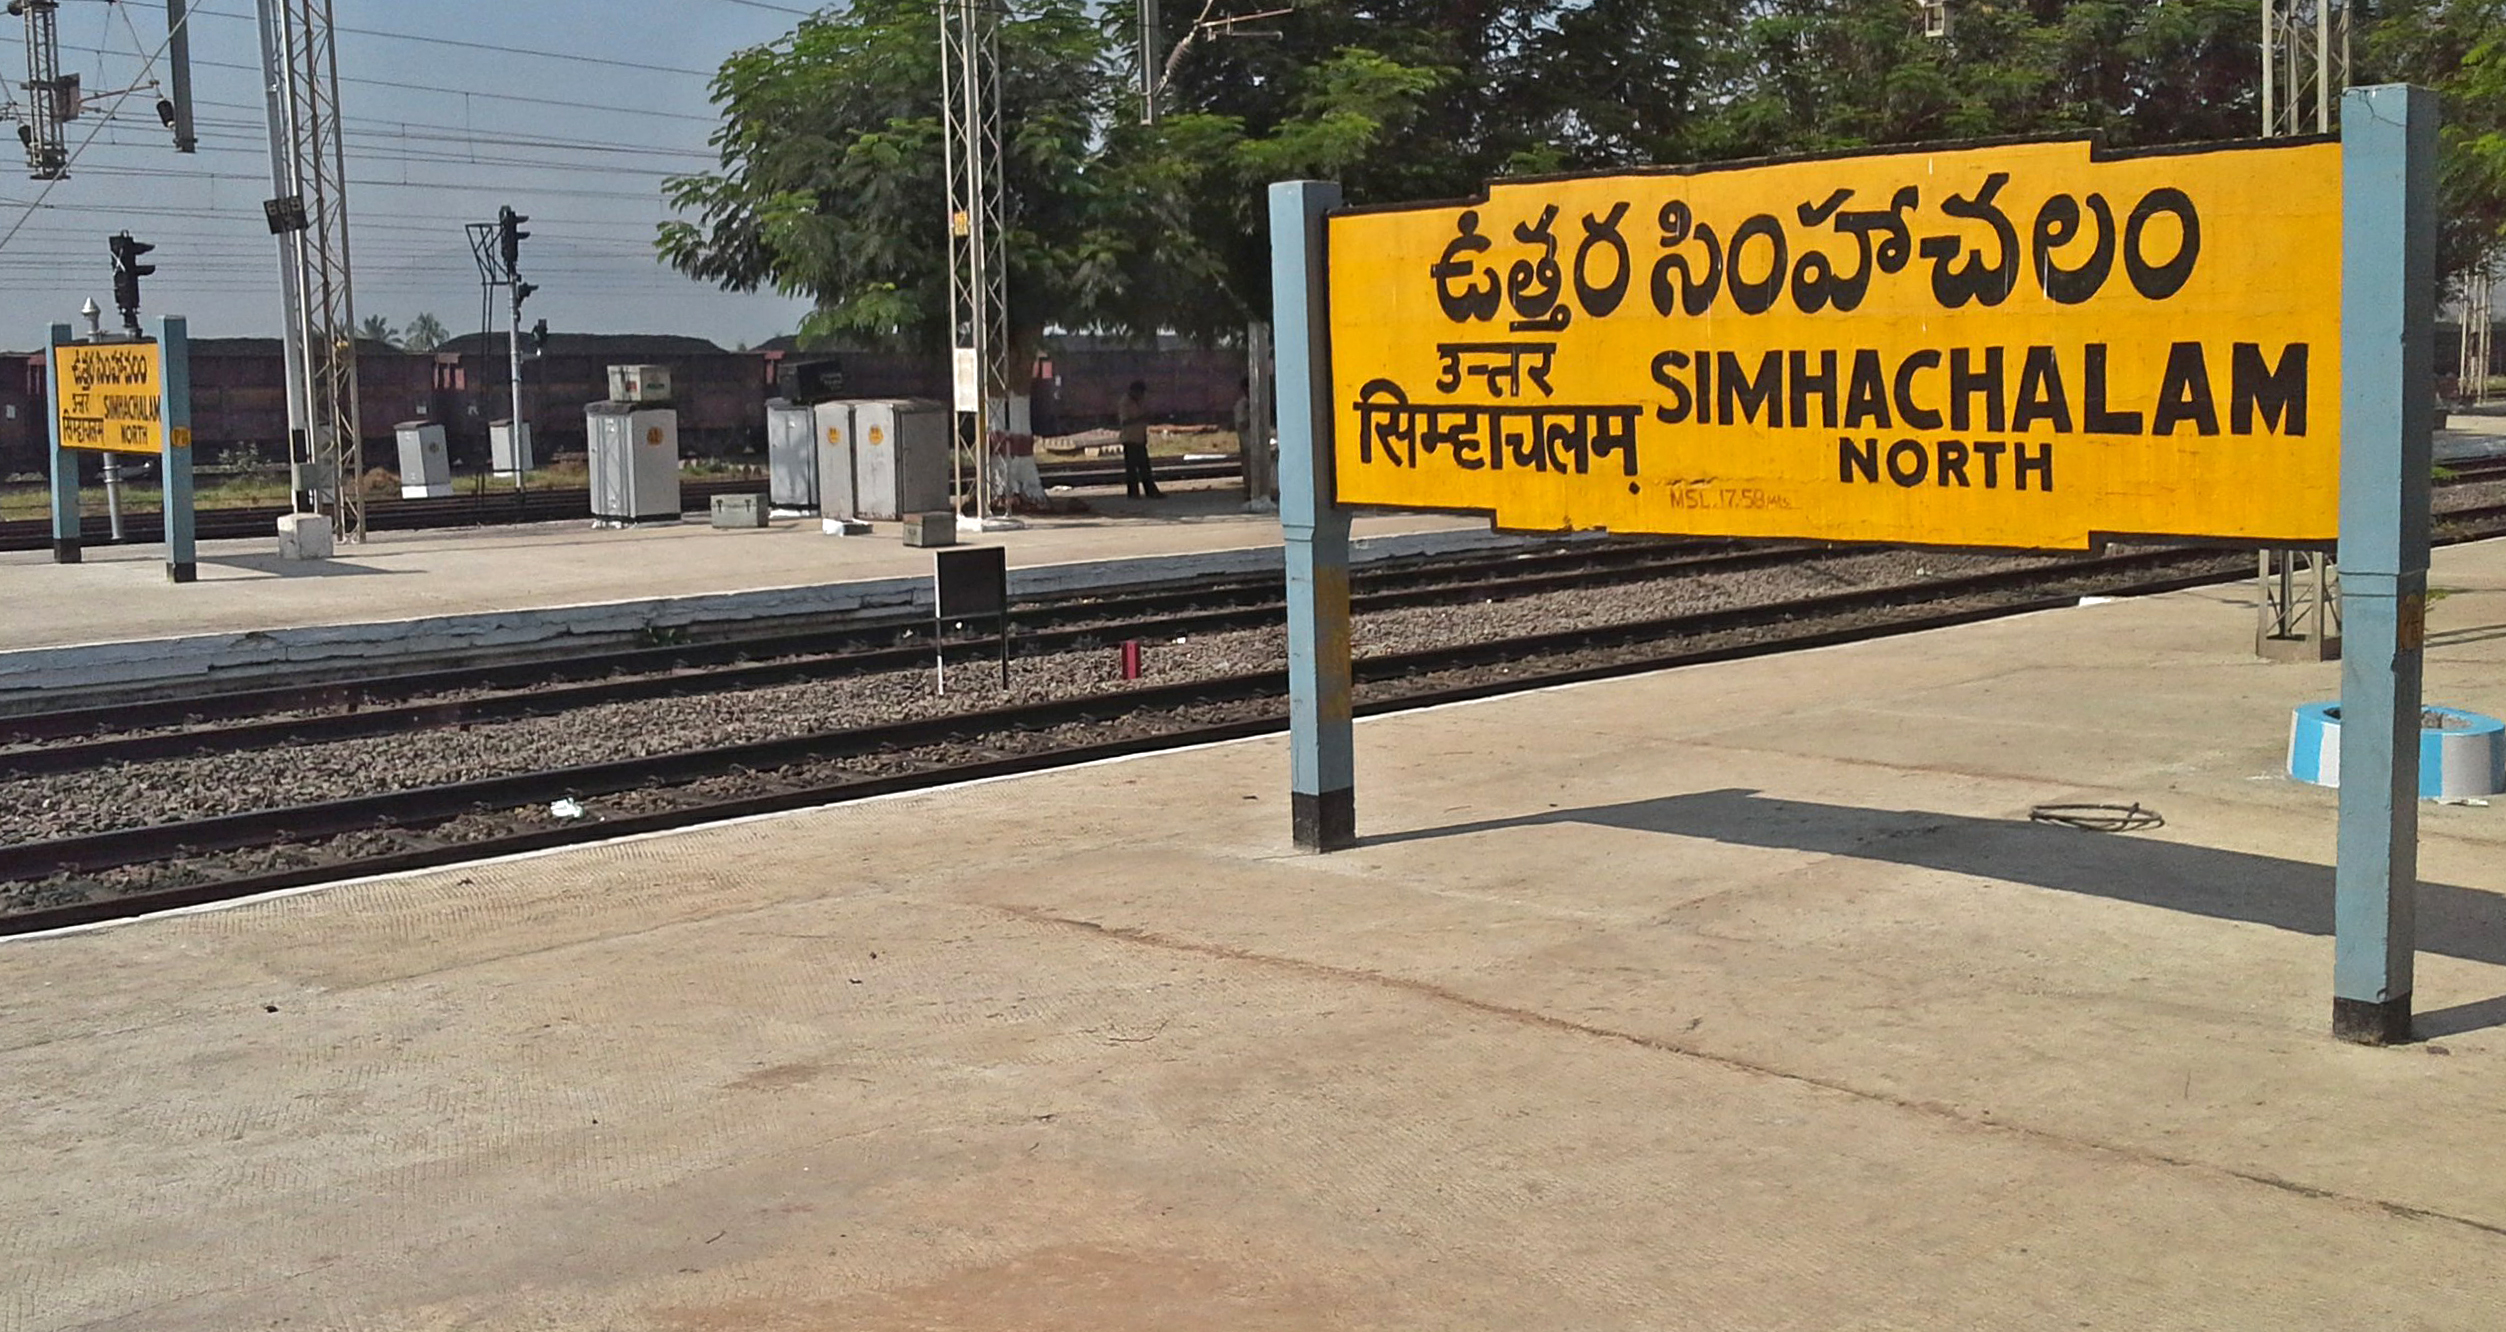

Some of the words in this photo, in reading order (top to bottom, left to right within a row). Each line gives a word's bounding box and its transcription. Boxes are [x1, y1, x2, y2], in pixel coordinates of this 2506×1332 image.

[1421, 196, 1644, 340] ఉత్తర
[1644, 169, 2205, 321] సింహాచలం
[67, 388, 93, 417] उत्तर
[53, 404, 110, 451] सिम्हाचलम्
[65, 340, 151, 392] ఉత్తర సింహాచలం
[99, 390, 166, 427] SIMHACHALAM
[117, 419, 153, 450] NORTH
[1427, 333, 1561, 405] उत्तर
[1342, 366, 1649, 484] सिम्हाचलम
[1834, 429, 2059, 496] NORTH
[1643, 337, 2315, 451] SIMHACHALAM